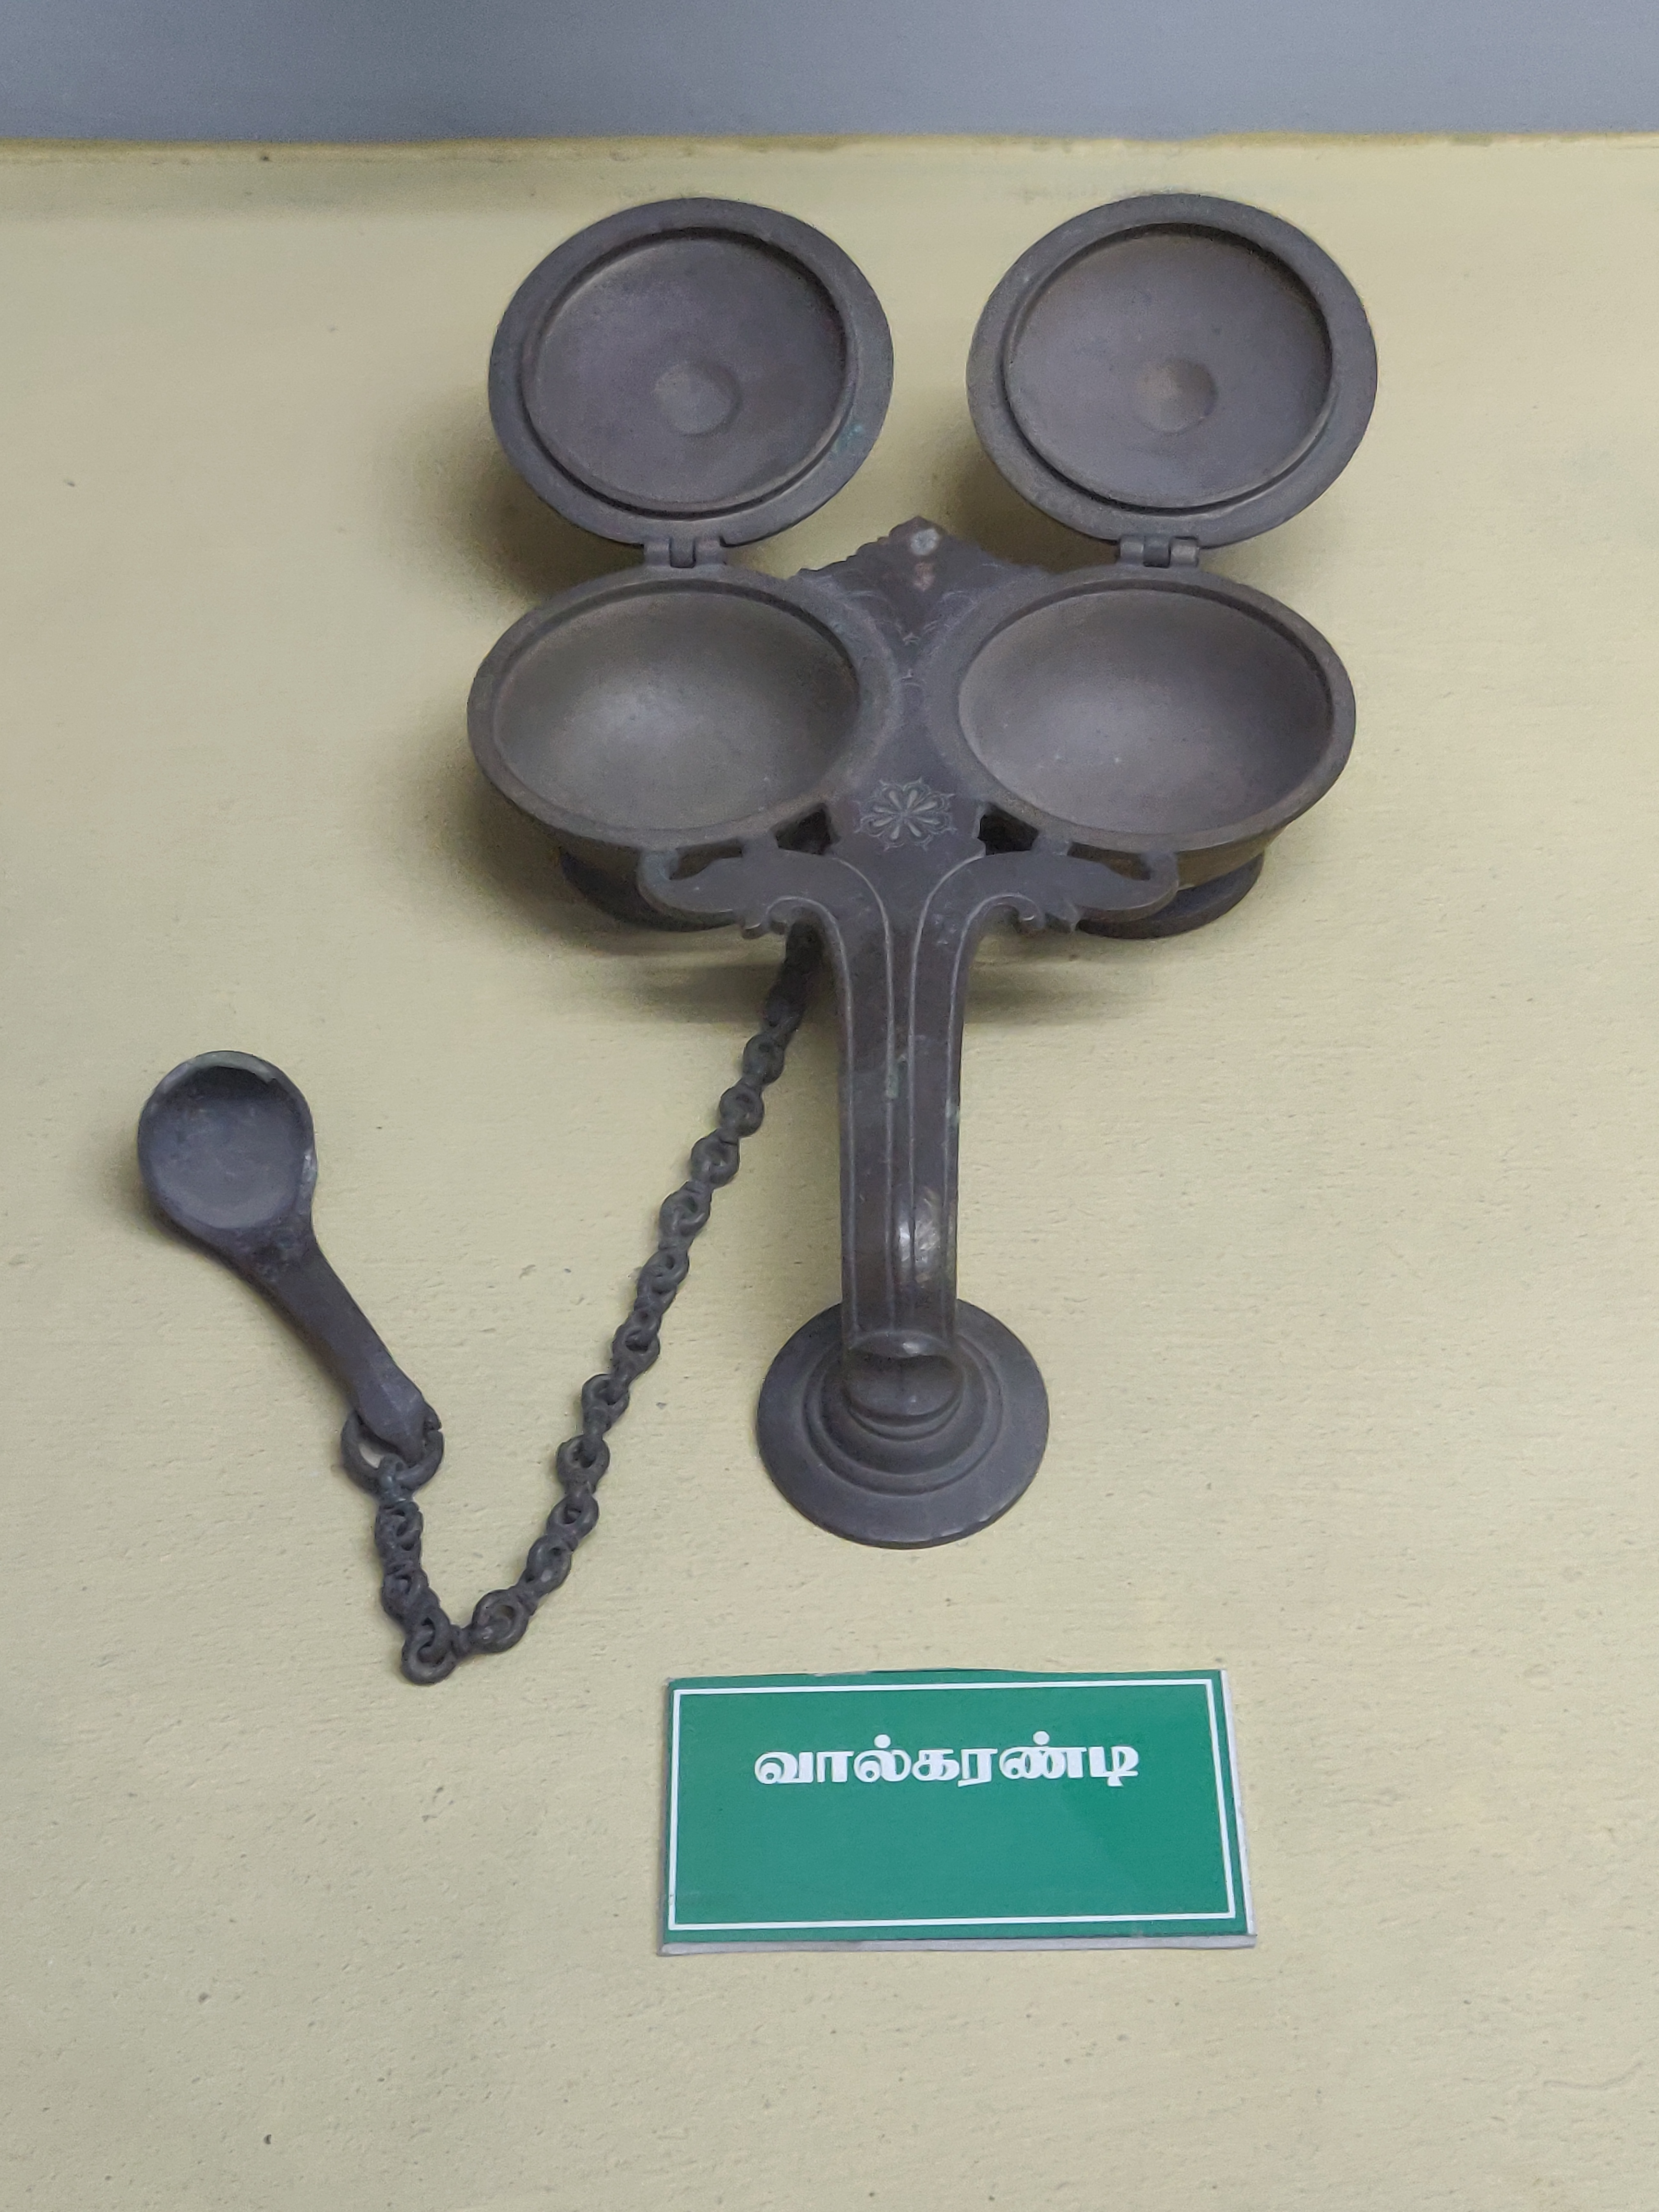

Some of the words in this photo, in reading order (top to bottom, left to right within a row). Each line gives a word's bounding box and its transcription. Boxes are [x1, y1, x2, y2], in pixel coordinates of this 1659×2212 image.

[745, 1720, 998, 1787] வால்கர
[992, 1728, 1149, 1797] ண்டி